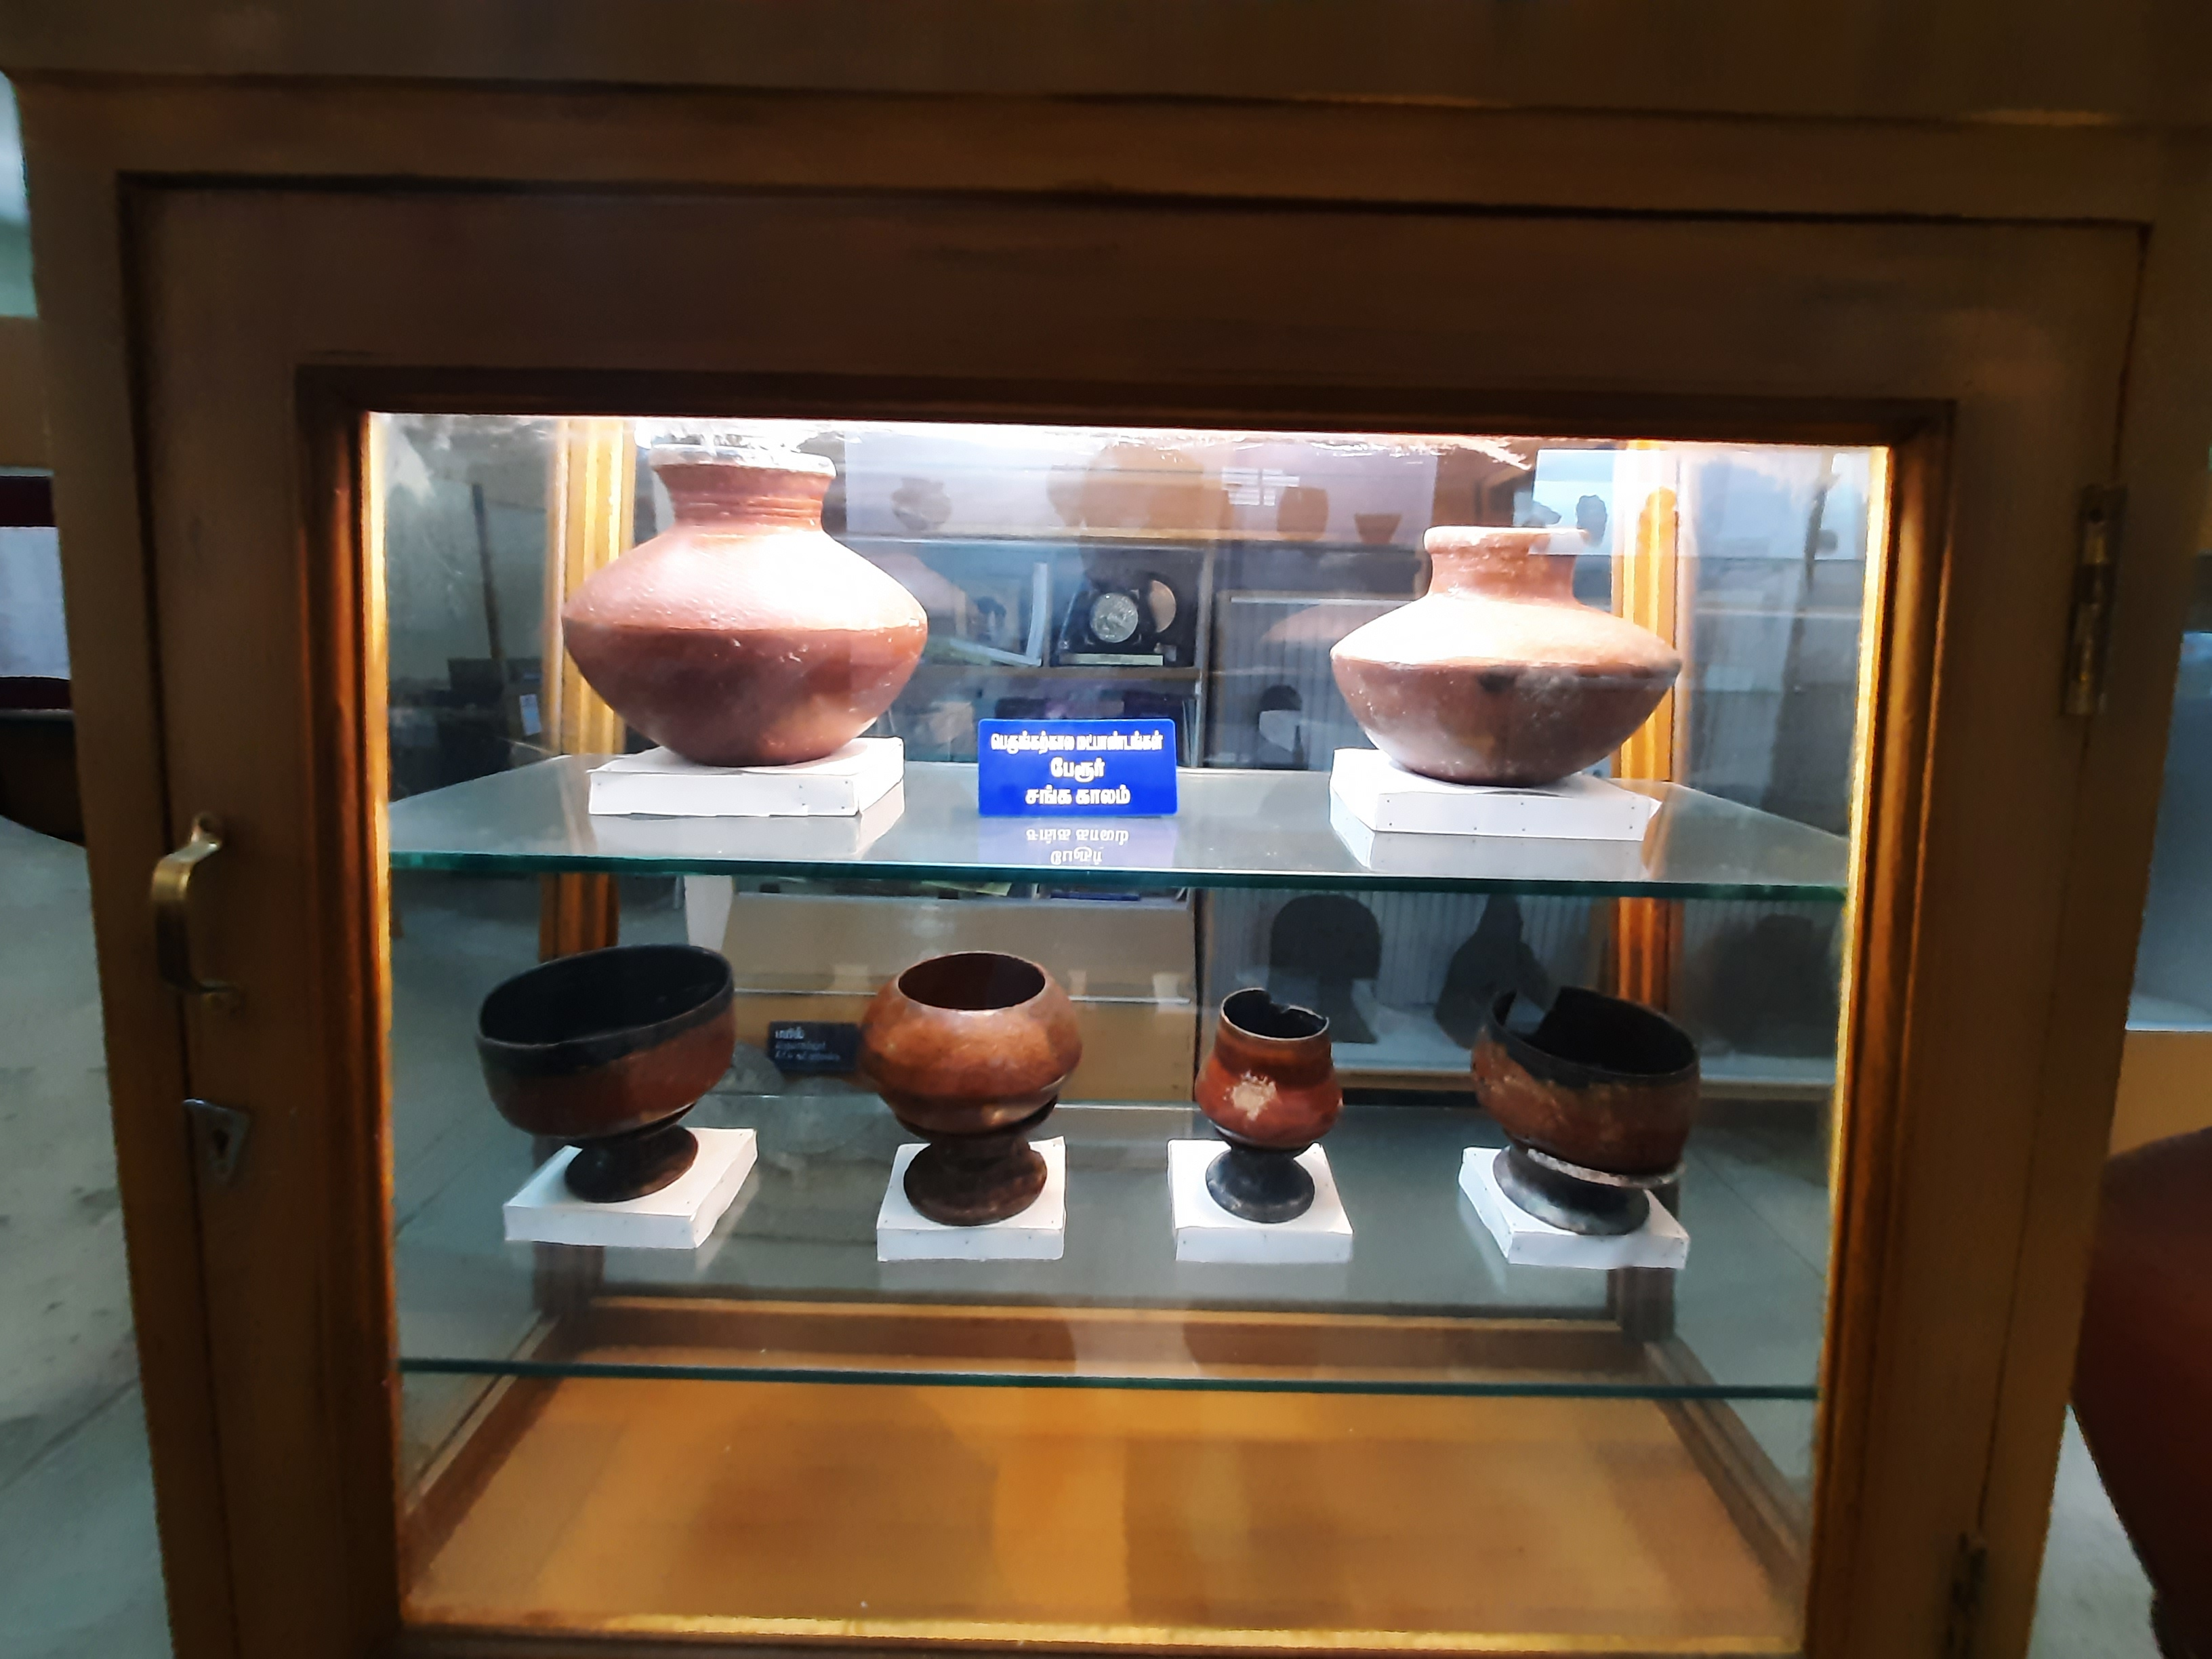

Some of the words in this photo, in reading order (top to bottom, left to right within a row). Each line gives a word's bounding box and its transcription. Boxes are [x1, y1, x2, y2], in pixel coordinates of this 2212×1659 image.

[988, 726, 1078, 756] பெருங்கற்கால
[1047, 752, 1107, 787] பேரூா்
[1023, 780, 1074, 806] சங்க
[1073, 781, 1136, 809] காலம்